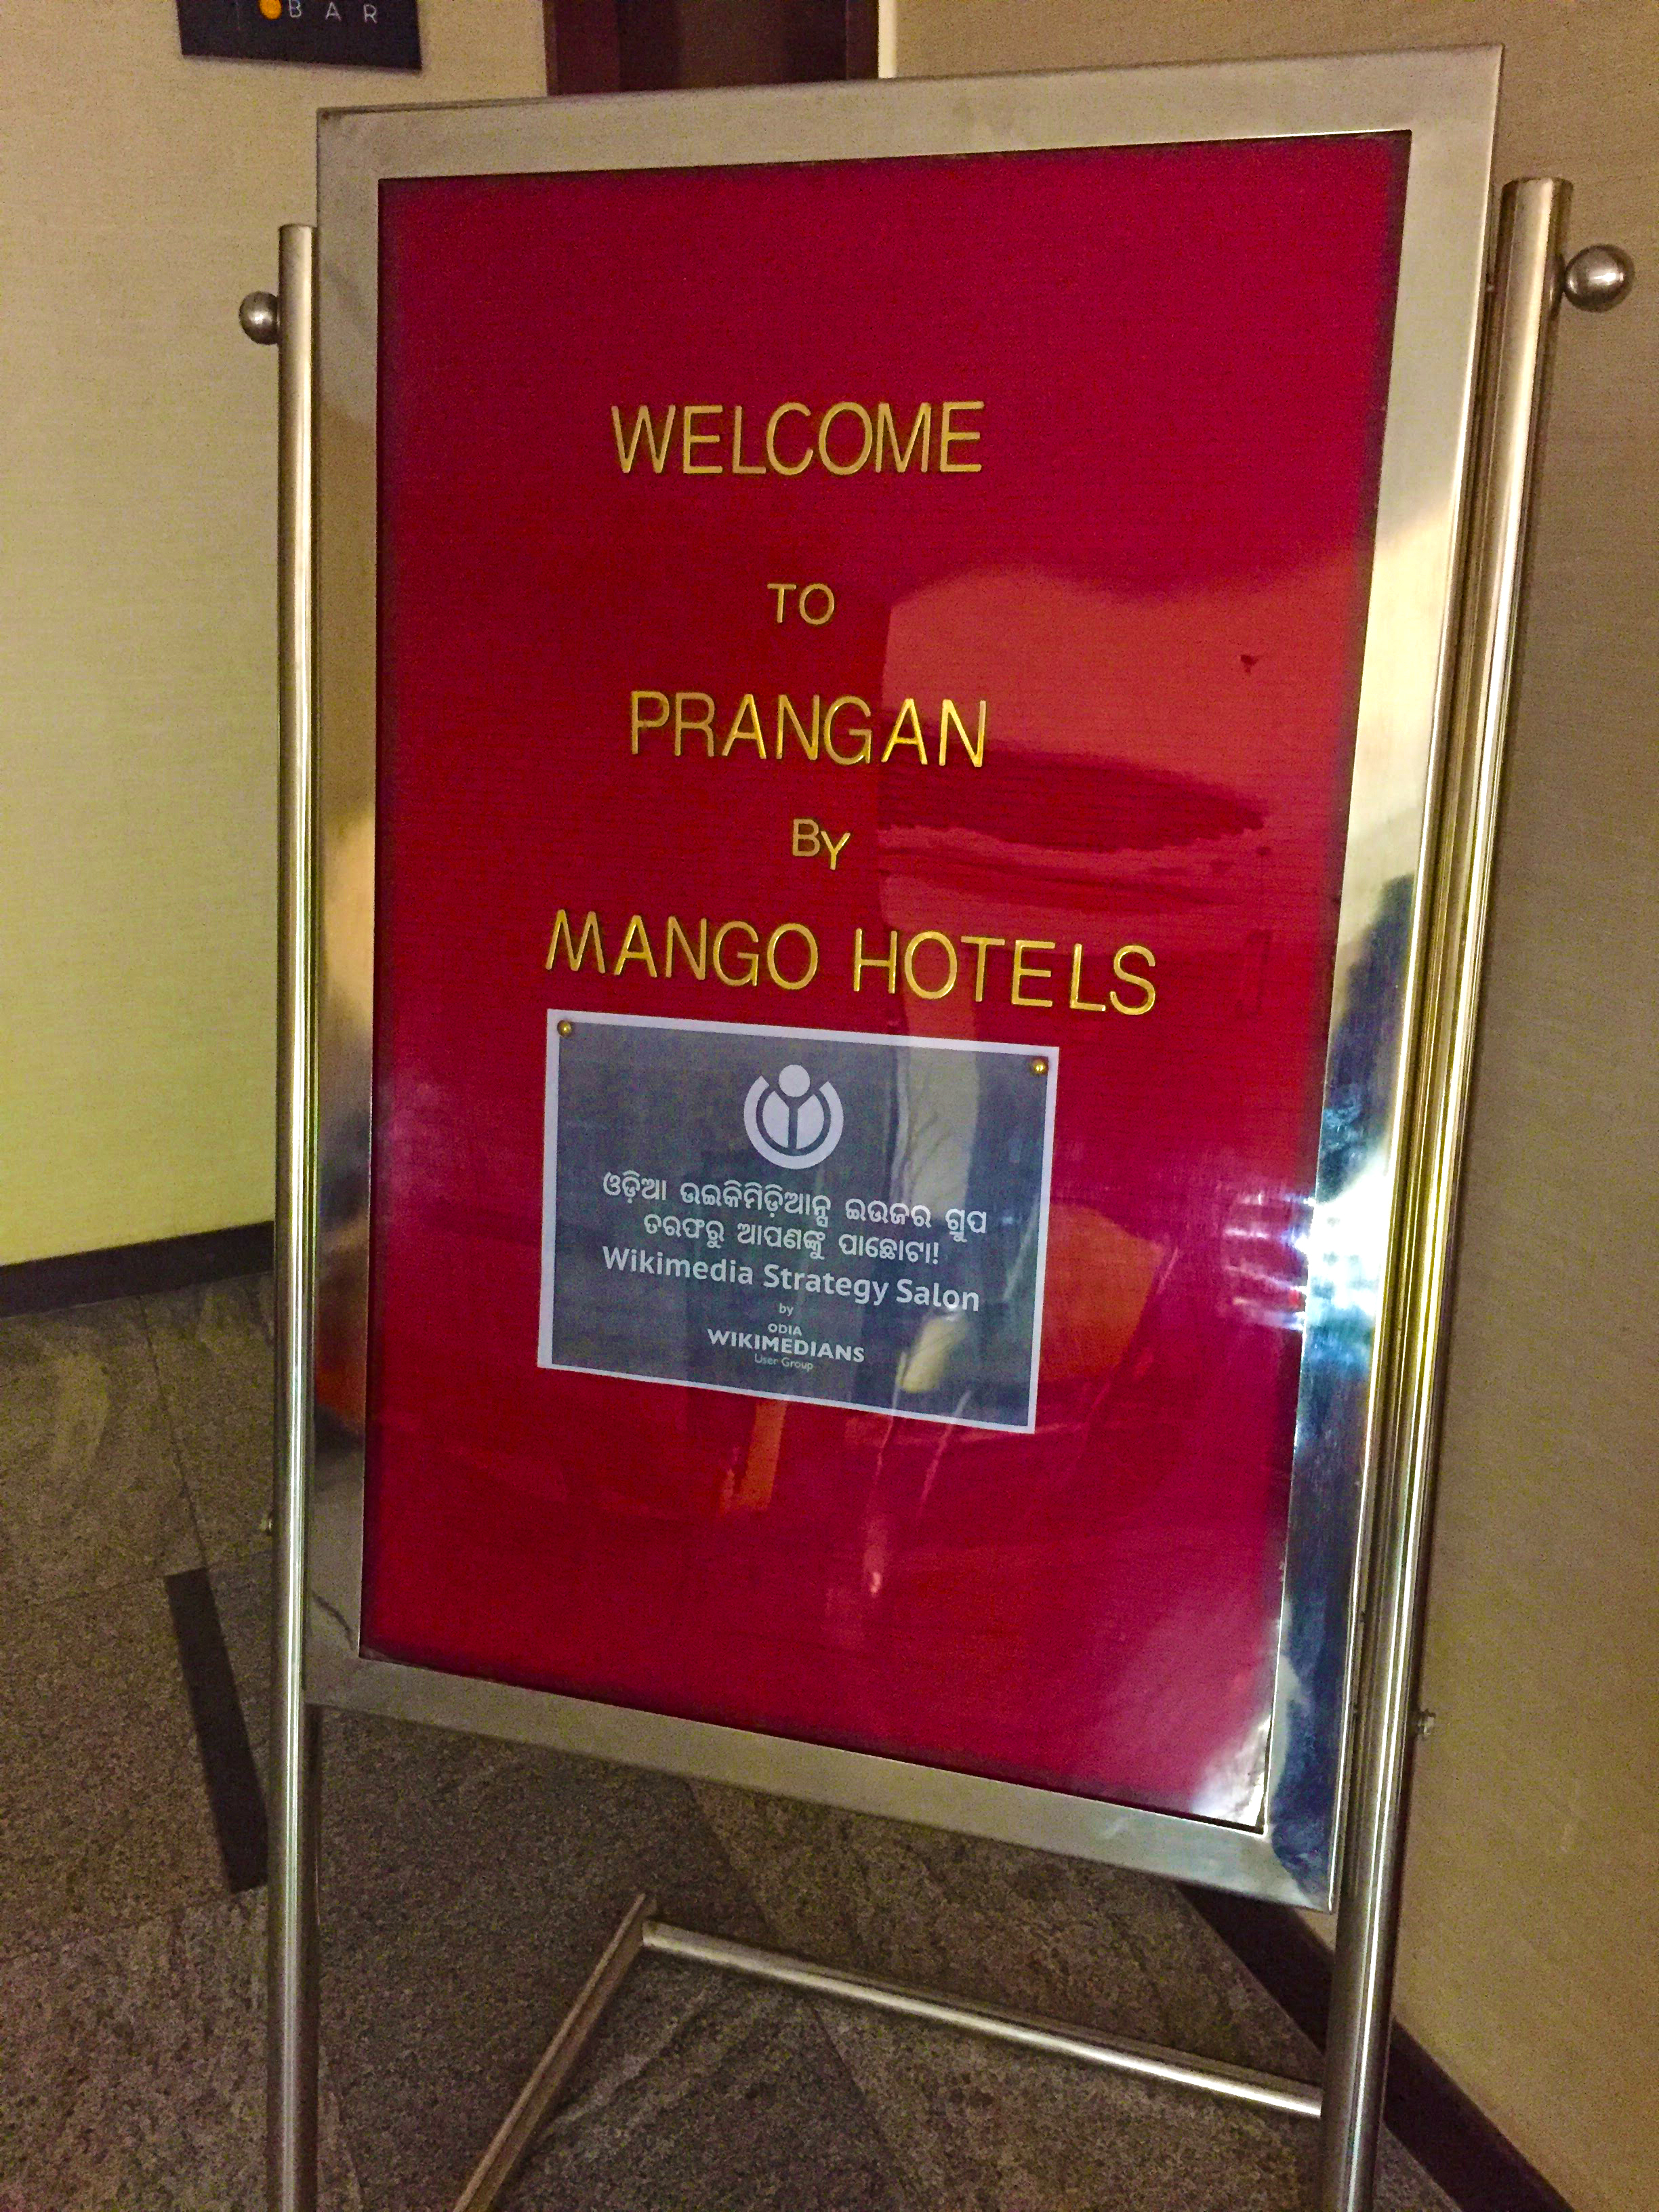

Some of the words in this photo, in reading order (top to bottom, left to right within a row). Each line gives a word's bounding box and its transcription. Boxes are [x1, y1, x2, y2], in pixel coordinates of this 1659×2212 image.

[602, 390, 991, 481] WELCOME
[753, 571, 843, 636] TO
[626, 683, 996, 771] PRANGAN
[782, 809, 855, 878] BY
[534, 904, 825, 991] MANGO
[848, 924, 1165, 1019] HOTELS
[598, 1163, 672, 1206] ଓଡ଼ିଆ
[600, 1237, 758, 1286] Wikimedia
[635, 1206, 730, 1254] ତରଫରୁ
[679, 1174, 835, 1232] ଉଇକିମିଡ଼ିଆନ୍ସ
[733, 1217, 830, 1261] ଆପଣଙ୍କୁ
[842, 1195, 936, 1232] ଇଉଜର
[836, 1227, 942, 1269] ପାଛୋଟା!
[940, 1202, 994, 1244] ଗ୍ରୁପ
[745, 1352, 780, 1370] User
[762, 1319, 804, 1343] ODIA
[773, 1300, 797, 1319] by
[706, 1324, 872, 1369] WIKIMEDIANS
[773, 1353, 818, 1376] Group
[760, 1260, 893, 1311] Strategy
[882, 1275, 985, 1314] Salon